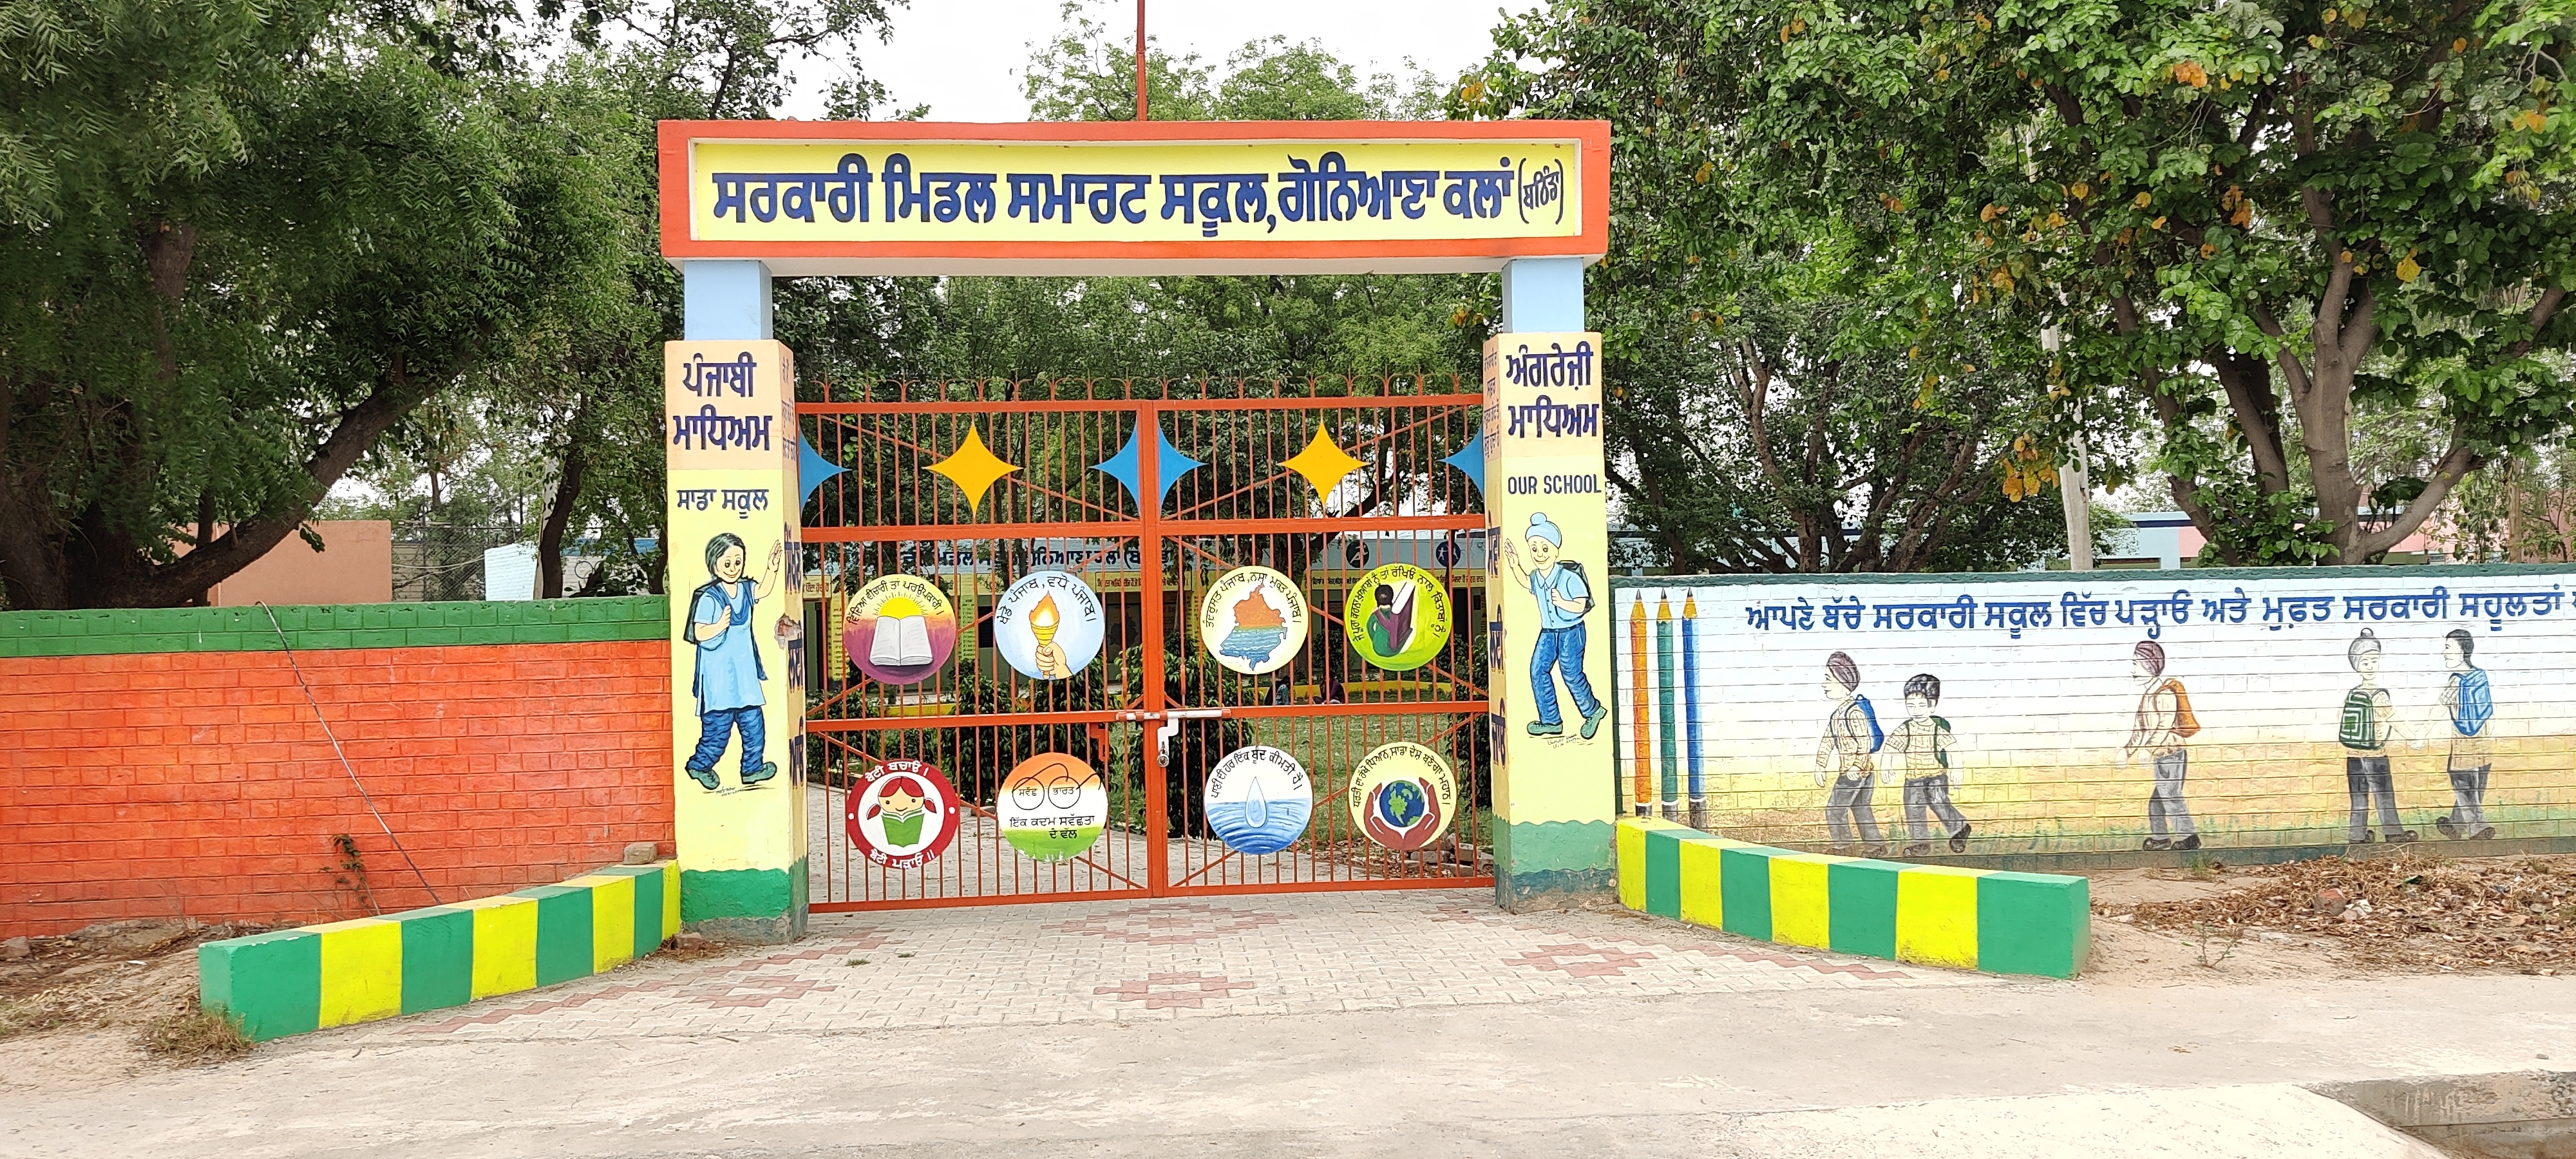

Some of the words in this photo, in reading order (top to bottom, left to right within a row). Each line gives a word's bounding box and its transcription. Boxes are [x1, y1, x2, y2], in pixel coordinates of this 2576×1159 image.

[701, 147, 879, 230] ਸਰਕਾਰੀ
[876, 147, 1002, 232] ਮਿਡਲ
[1000, 166, 1156, 230] ਸਮਾਰਟ
[1155, 168, 1282, 239] ਸਕੂਲ,
[1272, 144, 1441, 236] ਗੋਨਿਆਣਾ
[1441, 153, 1516, 226] ਕਲਾਂ
[1521, 160, 1562, 214] ਬਠਿੰਡਾ
[676, 349, 762, 404] ਪੰਜਾਬੀ
[1501, 337, 1602, 393] ਅੰਗਰੇਜ਼ੀ
[668, 402, 780, 458] ਮਾਧਿਅਮ
[1502, 393, 1603, 441] ਮਾਧਿਅਮ
[1503, 473, 1541, 498] OUR
[1539, 471, 1607, 498] SCHOOL
[674, 485, 721, 515] ਸਾਡਾ
[719, 484, 773, 525] ਸਕੂਲ
[843, 590, 869, 628] ਵਿੱਦਿਆ
[860, 575, 889, 604] ਵੀਚਾਰੀ
[887, 574, 902, 592] ਤਾਂ
[901, 575, 947, 612] ਪਰਉਪਕਾਰੀ
[994, 602, 1016, 627] ਬੇਡੇ
[1006, 576, 1041, 607] ਪੰਜਾਬ
[1045, 572, 1074, 593] ਵਧੋ
[1066, 576, 1101, 619] ਪੰਜਾਬ
[1200, 585, 1226, 630] ਤੰਦਰੁਸਤ
[1216, 569, 1248, 596] ਪੰਜਾਬ
[1246, 567, 1269, 587] ਨਸ਼ਾ
[1266, 571, 1291, 596] ਮੁਕਤ
[1283, 585, 1306, 619] ਪੰਜਾਬ
[1346, 596, 1363, 619] ਕਰਨਾ
[1347, 617, 1365, 634] ਪੂਰਾ
[1351, 633, 1366, 644] ਜੇ
[1352, 574, 1375, 603] ਖੁਆਬਾਂ
[1368, 569, 1383, 587] ਨੂੰ
[1378, 565, 1392, 581] ਤਾਂ
[1390, 564, 1420, 583] ਰੱਖਿੳ
[1415, 569, 1439, 595] ਨਾਲ
[1426, 621, 1448, 638] ਨੂੰ
[1428, 587, 1450, 624] ਕਿਤਾਬਾ
[1741, 594, 1819, 635] ਆਪਣੇ
[1819, 588, 1870, 633] ਬੱਚੇ
[1867, 590, 1982, 636] ਸਰਕਾਰੀ
[1979, 597, 2058, 643] ਸਕੂਲ
[2054, 589, 2111, 632] ਵਿੱਚ
[2110, 585, 2198, 642] ਪੜ੍ਹਾਓ
[2198, 581, 2260, 632] ਅਤੇ
[2259, 590, 2343, 637] ਮੁਫਤ
[2340, 583, 2454, 627] ਸਰਕਾਰੀ
[2456, 580, 2568, 637] ਸਹੂਲਤਾਂ
[861, 761, 888, 787] ਬੇਟੀ
[884, 758, 925, 777] ਥਚਾਓ
[1013, 784, 1041, 800] ਸਵੌਛ
[1049, 786, 1078, 796] ਭਾਰਤ
[1207, 775, 1225, 800] ਪਾਣੀ
[1213, 765, 1229, 782] ਦੀ
[1219, 755, 1238, 777] ਹਰ
[1231, 748, 1250, 768] ਇੱਕ
[1250, 745, 1269, 766] ਬੂੰਦ
[1266, 748, 1300, 777] ਕੀਮਤੀ
[1349, 784, 1365, 809] ੫ਹਤੀ
[1350, 773, 1366, 789] ਦਾ
[1354, 762, 1372, 781] ਰਖੋ
[1362, 745, 1392, 771] ਧਿਆਨ
[1387, 743, 1410, 759] ਸਾਡਾ
[1408, 743, 1425, 762] ਦੇਸ਼
[1420, 748, 1447, 777] ਬਣੇਗਾ
[1434, 770, 1454, 800] ਮਹਾਠ
[1006, 814, 1029, 831] ਇੱਕ
[1029, 815, 1058, 827] ਕਦਮ
[1045, 826, 1059, 842] ਦੇ
[1058, 826, 1079, 841] ਵੱਲ
[1057, 812, 1097, 827] ਸਵੱਛਤਾ
[864, 843, 891, 866] ਬੇਟੀ
[888, 849, 927, 871] ਪੜਾਓ